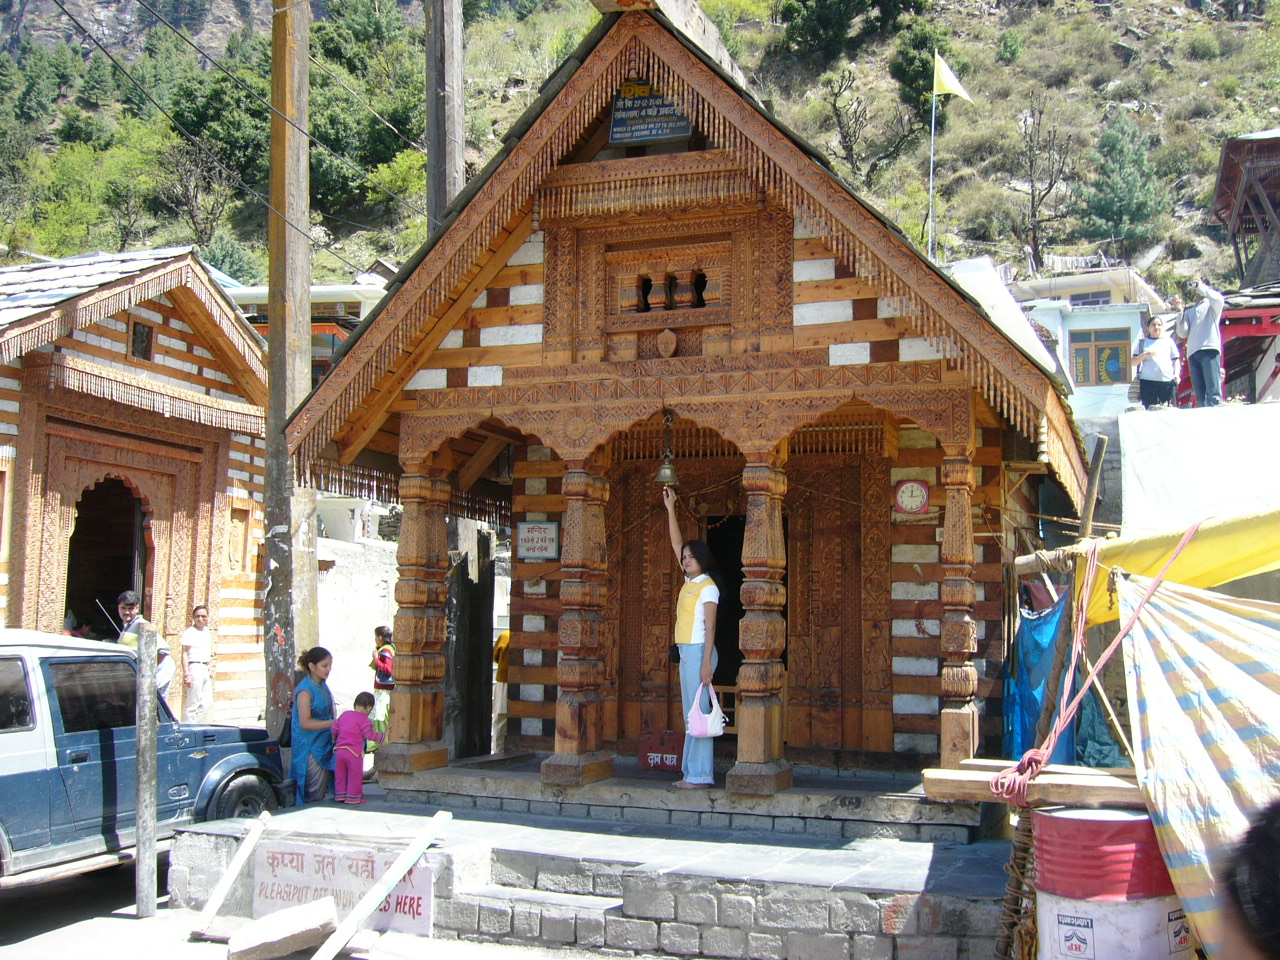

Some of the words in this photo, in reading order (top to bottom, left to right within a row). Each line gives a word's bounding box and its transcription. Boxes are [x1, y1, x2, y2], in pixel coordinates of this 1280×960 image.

[524, 519, 549, 537] मन्दिर
[645, 750, 663, 769] दप्त
[659, 751, 679, 768] पात्र
[265, 850, 309, 879] कृप्या
[309, 847, 338, 883] जूते
[341, 851, 377, 884] यहाँ
[255, 879, 311, 905] PLEASEPUT
[392, 893, 427, 924] HERE